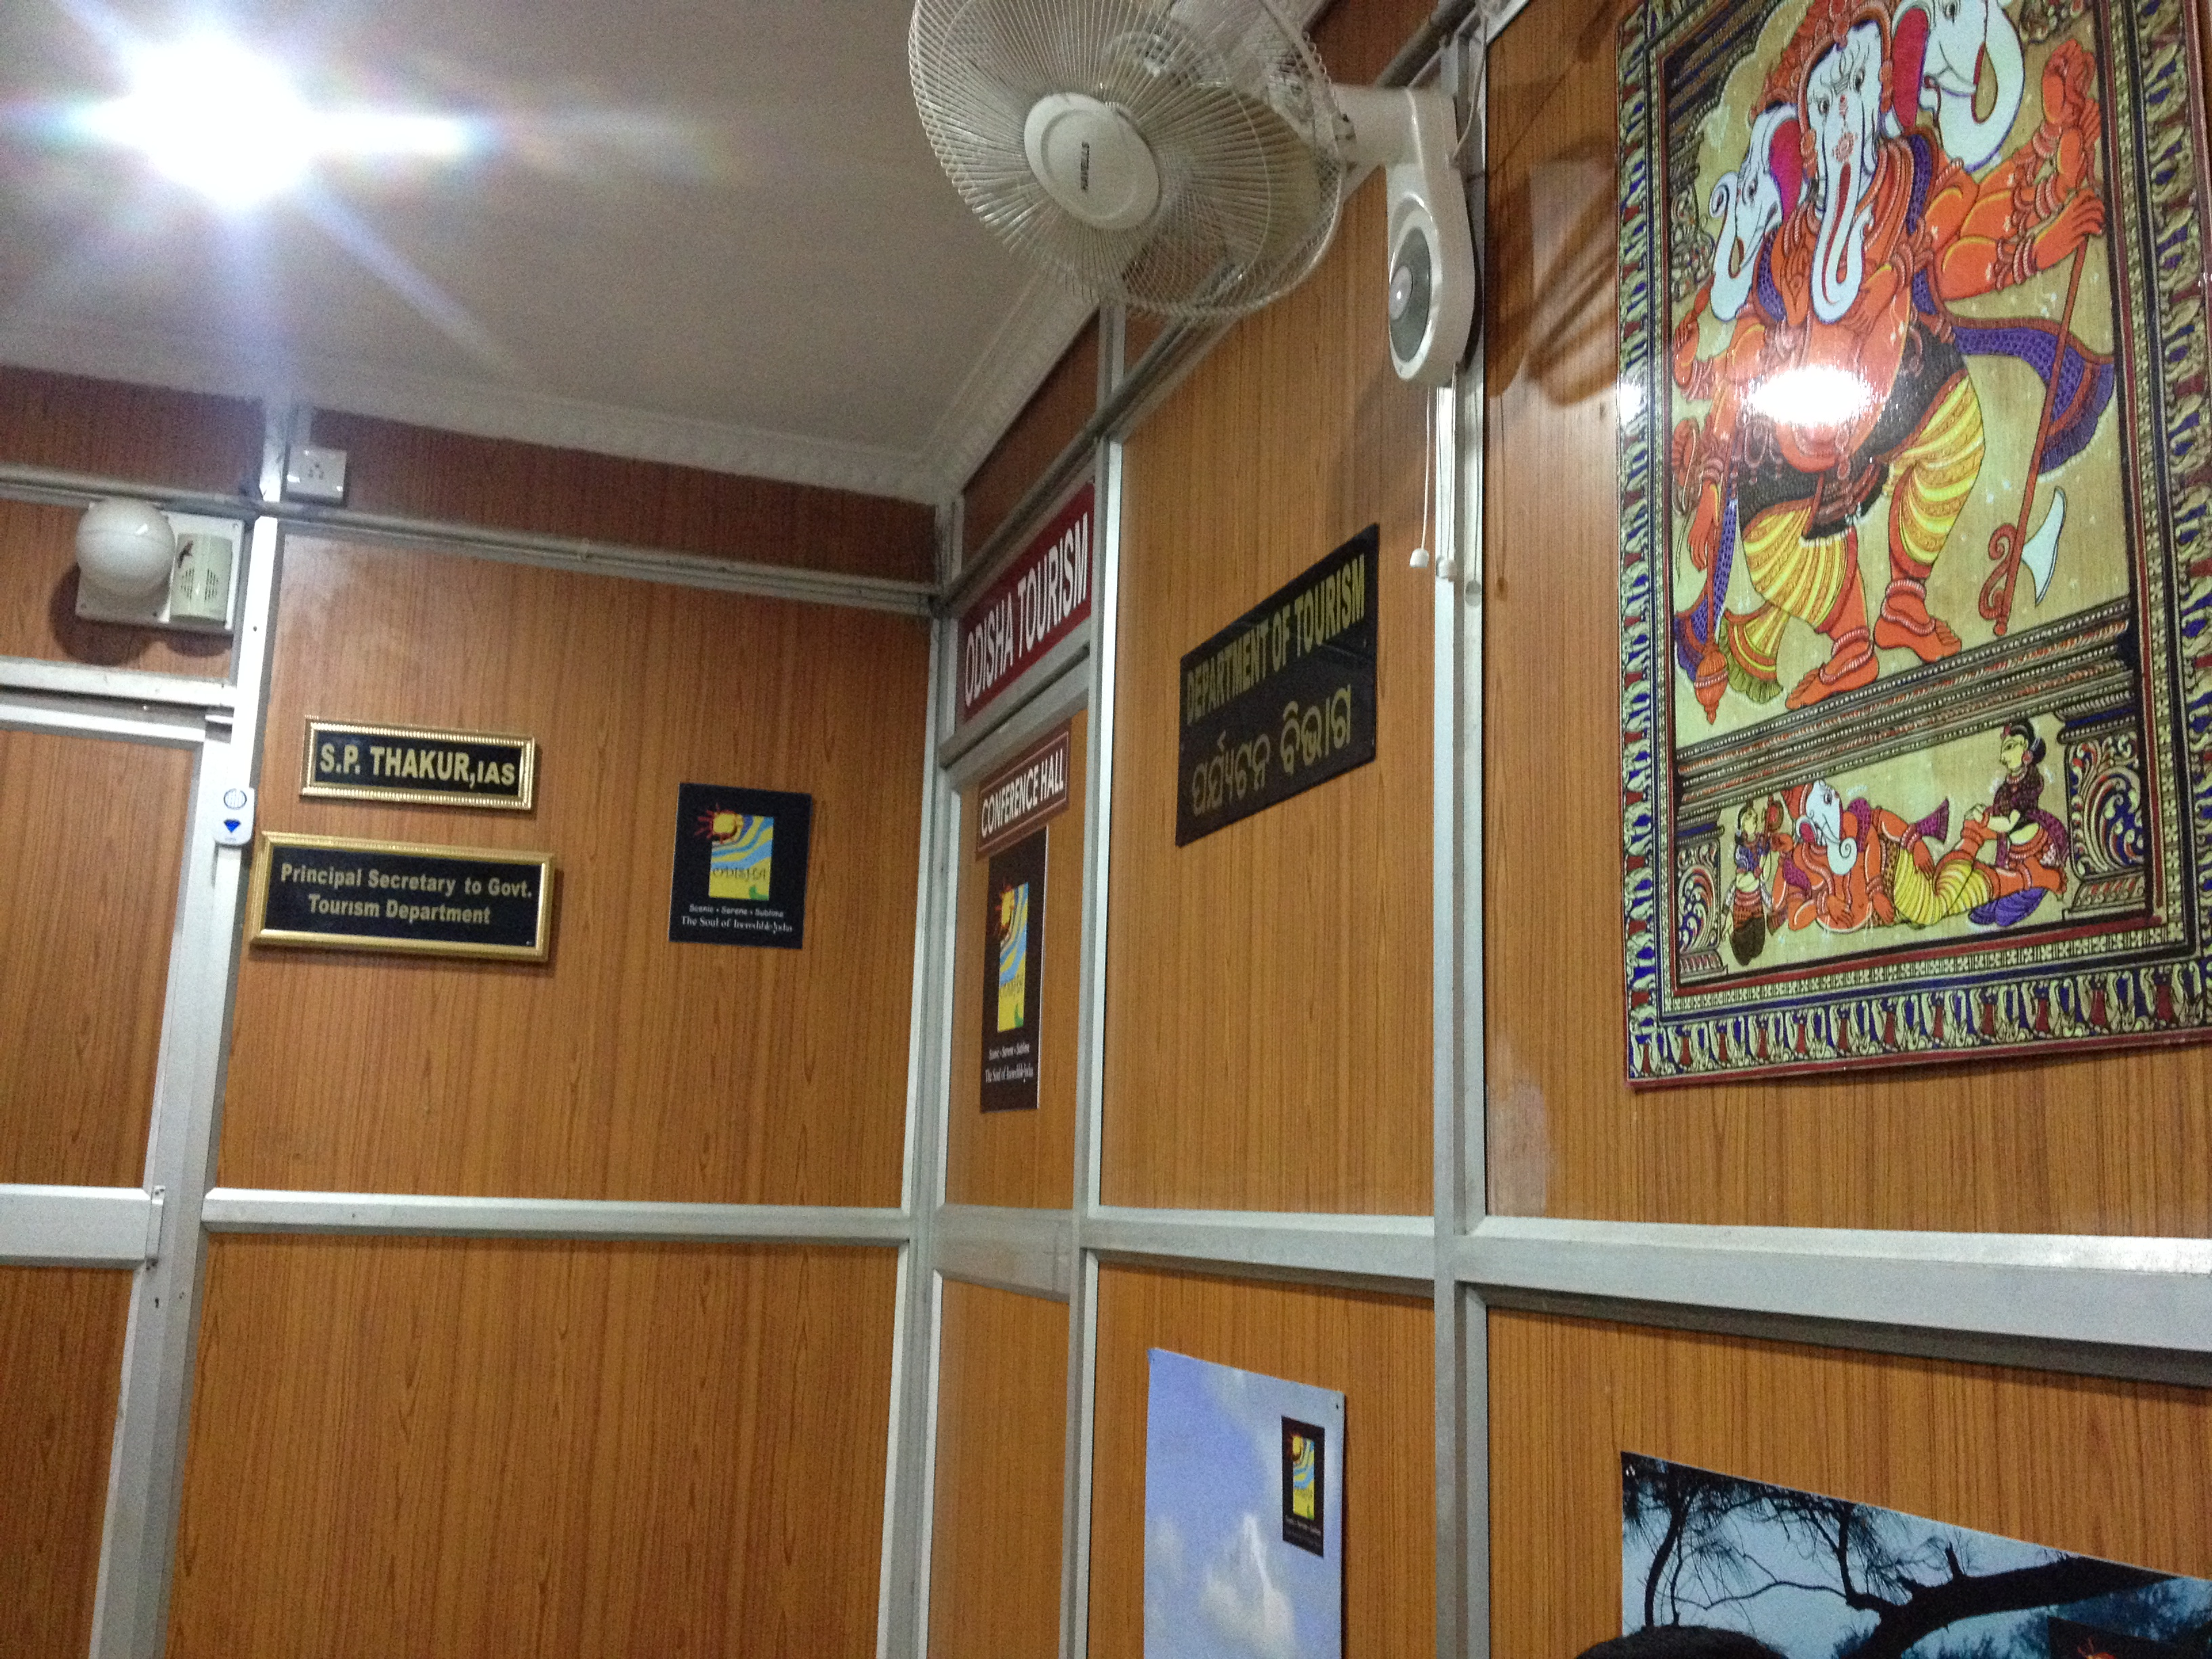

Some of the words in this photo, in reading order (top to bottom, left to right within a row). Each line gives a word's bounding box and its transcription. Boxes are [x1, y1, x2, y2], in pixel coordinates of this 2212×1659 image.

[1014, 509, 1089, 662] TOURISM
[1290, 550, 1367, 663] TOURISM
[961, 588, 1016, 712] ODISHA
[1183, 615, 1271, 728] DEPARTMENT
[1261, 599, 1292, 676] OF
[1273, 681, 1354, 777] ବିଭାଗ
[316, 734, 363, 777] S.P.
[365, 743, 472, 790] THAKUR
[471, 758, 520, 795] IAS
[1038, 746, 1067, 804] HALL
[1186, 724, 1275, 821] ପର୍ଯ୍ୟଟନ
[975, 762, 1042, 843] CONFERENCE
[280, 859, 366, 895] Principal
[302, 890, 383, 919] Tourism
[363, 867, 459, 901] Secretary
[384, 896, 493, 928] Department
[461, 874, 485, 899] to
[485, 873, 535, 904] Govt.
[677, 912, 701, 929] The
[697, 913, 722, 930] Soul
[716, 916, 733, 930] of
[707, 859, 768, 884] ODISHA